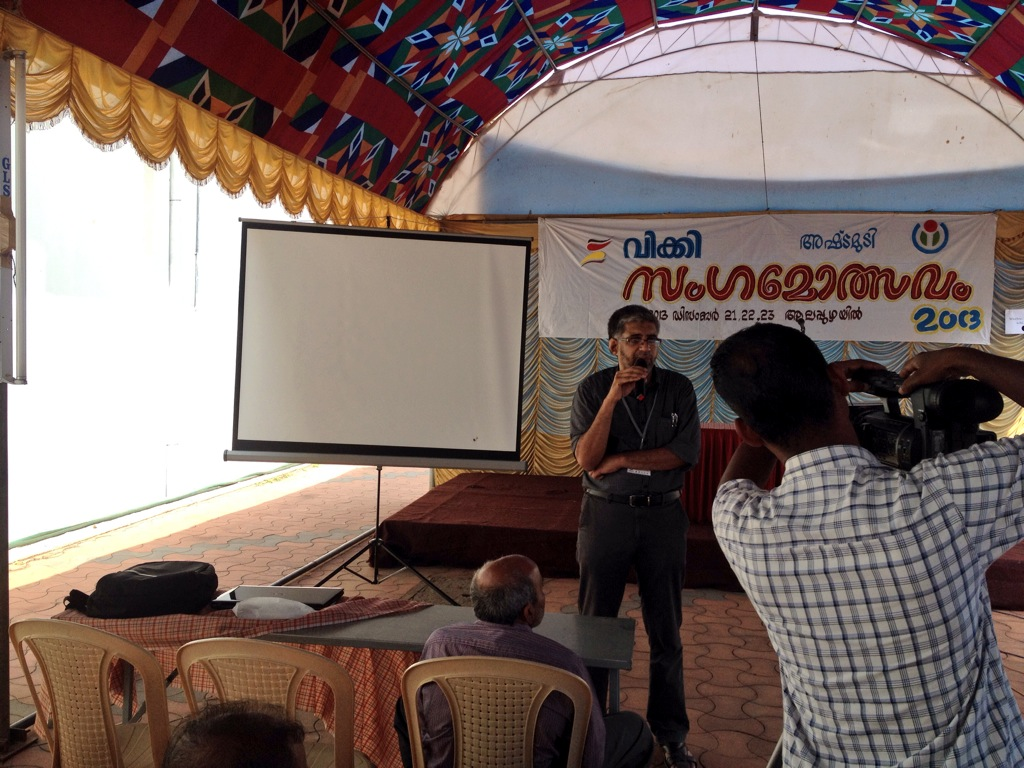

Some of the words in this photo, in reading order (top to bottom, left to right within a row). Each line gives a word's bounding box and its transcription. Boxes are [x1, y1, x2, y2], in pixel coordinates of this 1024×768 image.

[618, 225, 706, 262] വിക്കി
[793, 223, 882, 255] അഷ്‌ടമുടി
[618, 255, 975, 304] സംഗമോത്സവം
[668, 299, 725, 325] ഡിയംബർ
[719, 303, 779, 325] 21.22.23
[783, 302, 865, 323] ആലമുഴയിൽ
[907, 298, 987, 335] 2013